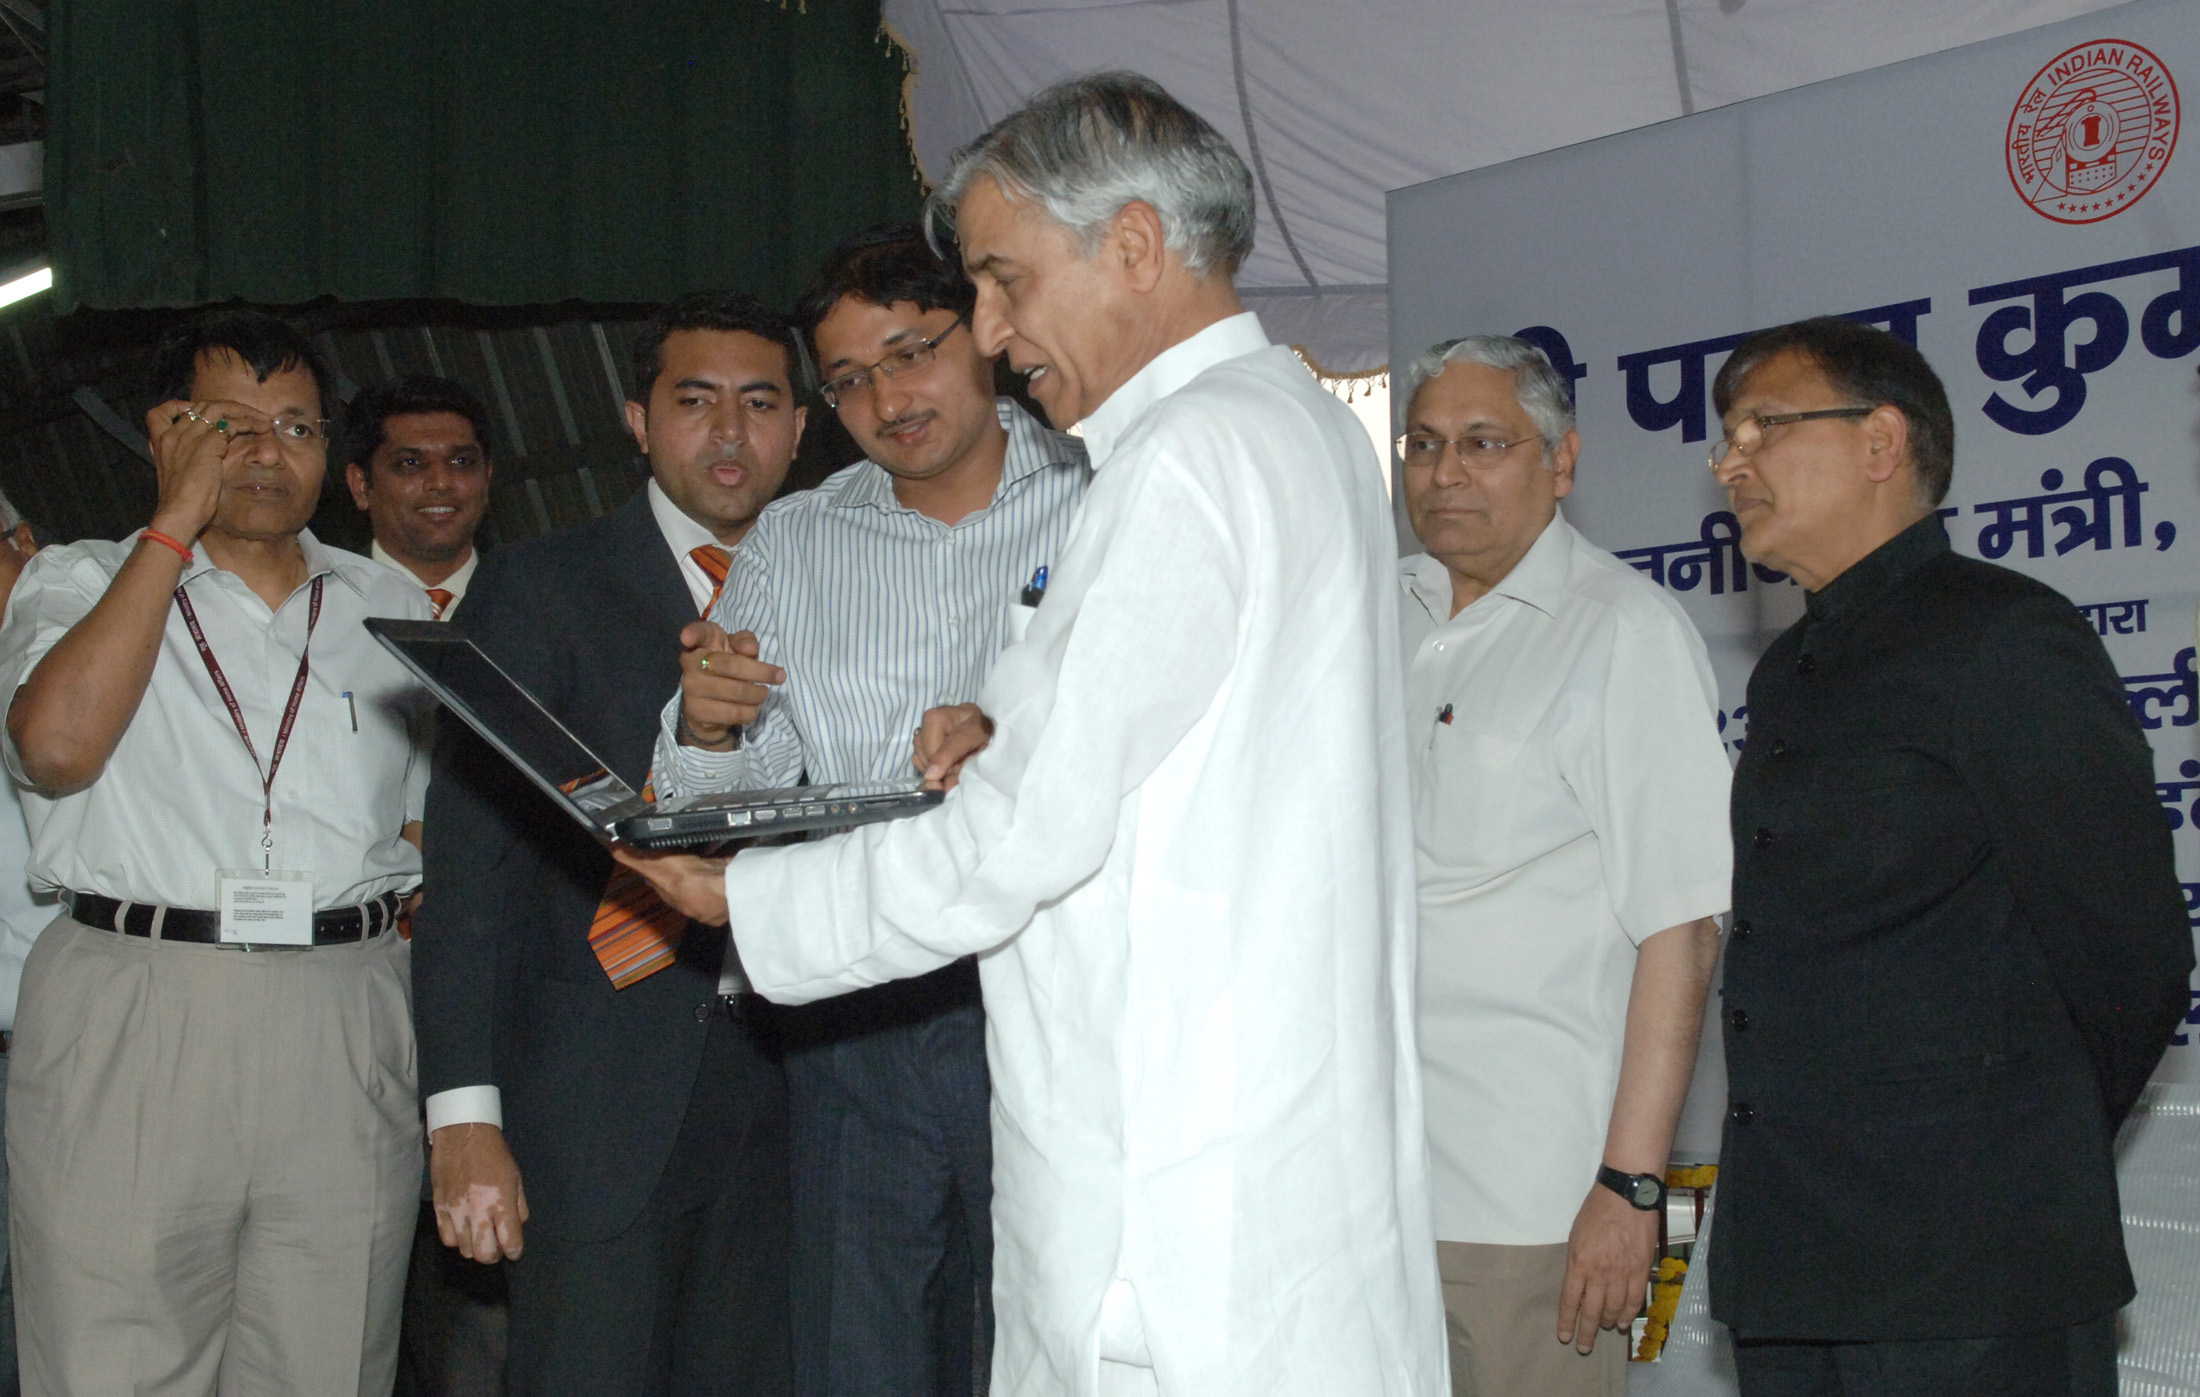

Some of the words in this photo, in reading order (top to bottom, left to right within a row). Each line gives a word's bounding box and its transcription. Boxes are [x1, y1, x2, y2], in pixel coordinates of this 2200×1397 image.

[2008, 120, 2038, 189] भारतीय
[2017, 81, 2051, 120] रेल
[2043, 38, 2130, 93] INDIAN
[2121, 45, 2176, 165] RAILWAYS
[1968, 243, 2196, 436] कुम्
[1962, 450, 2159, 568] मंत्री